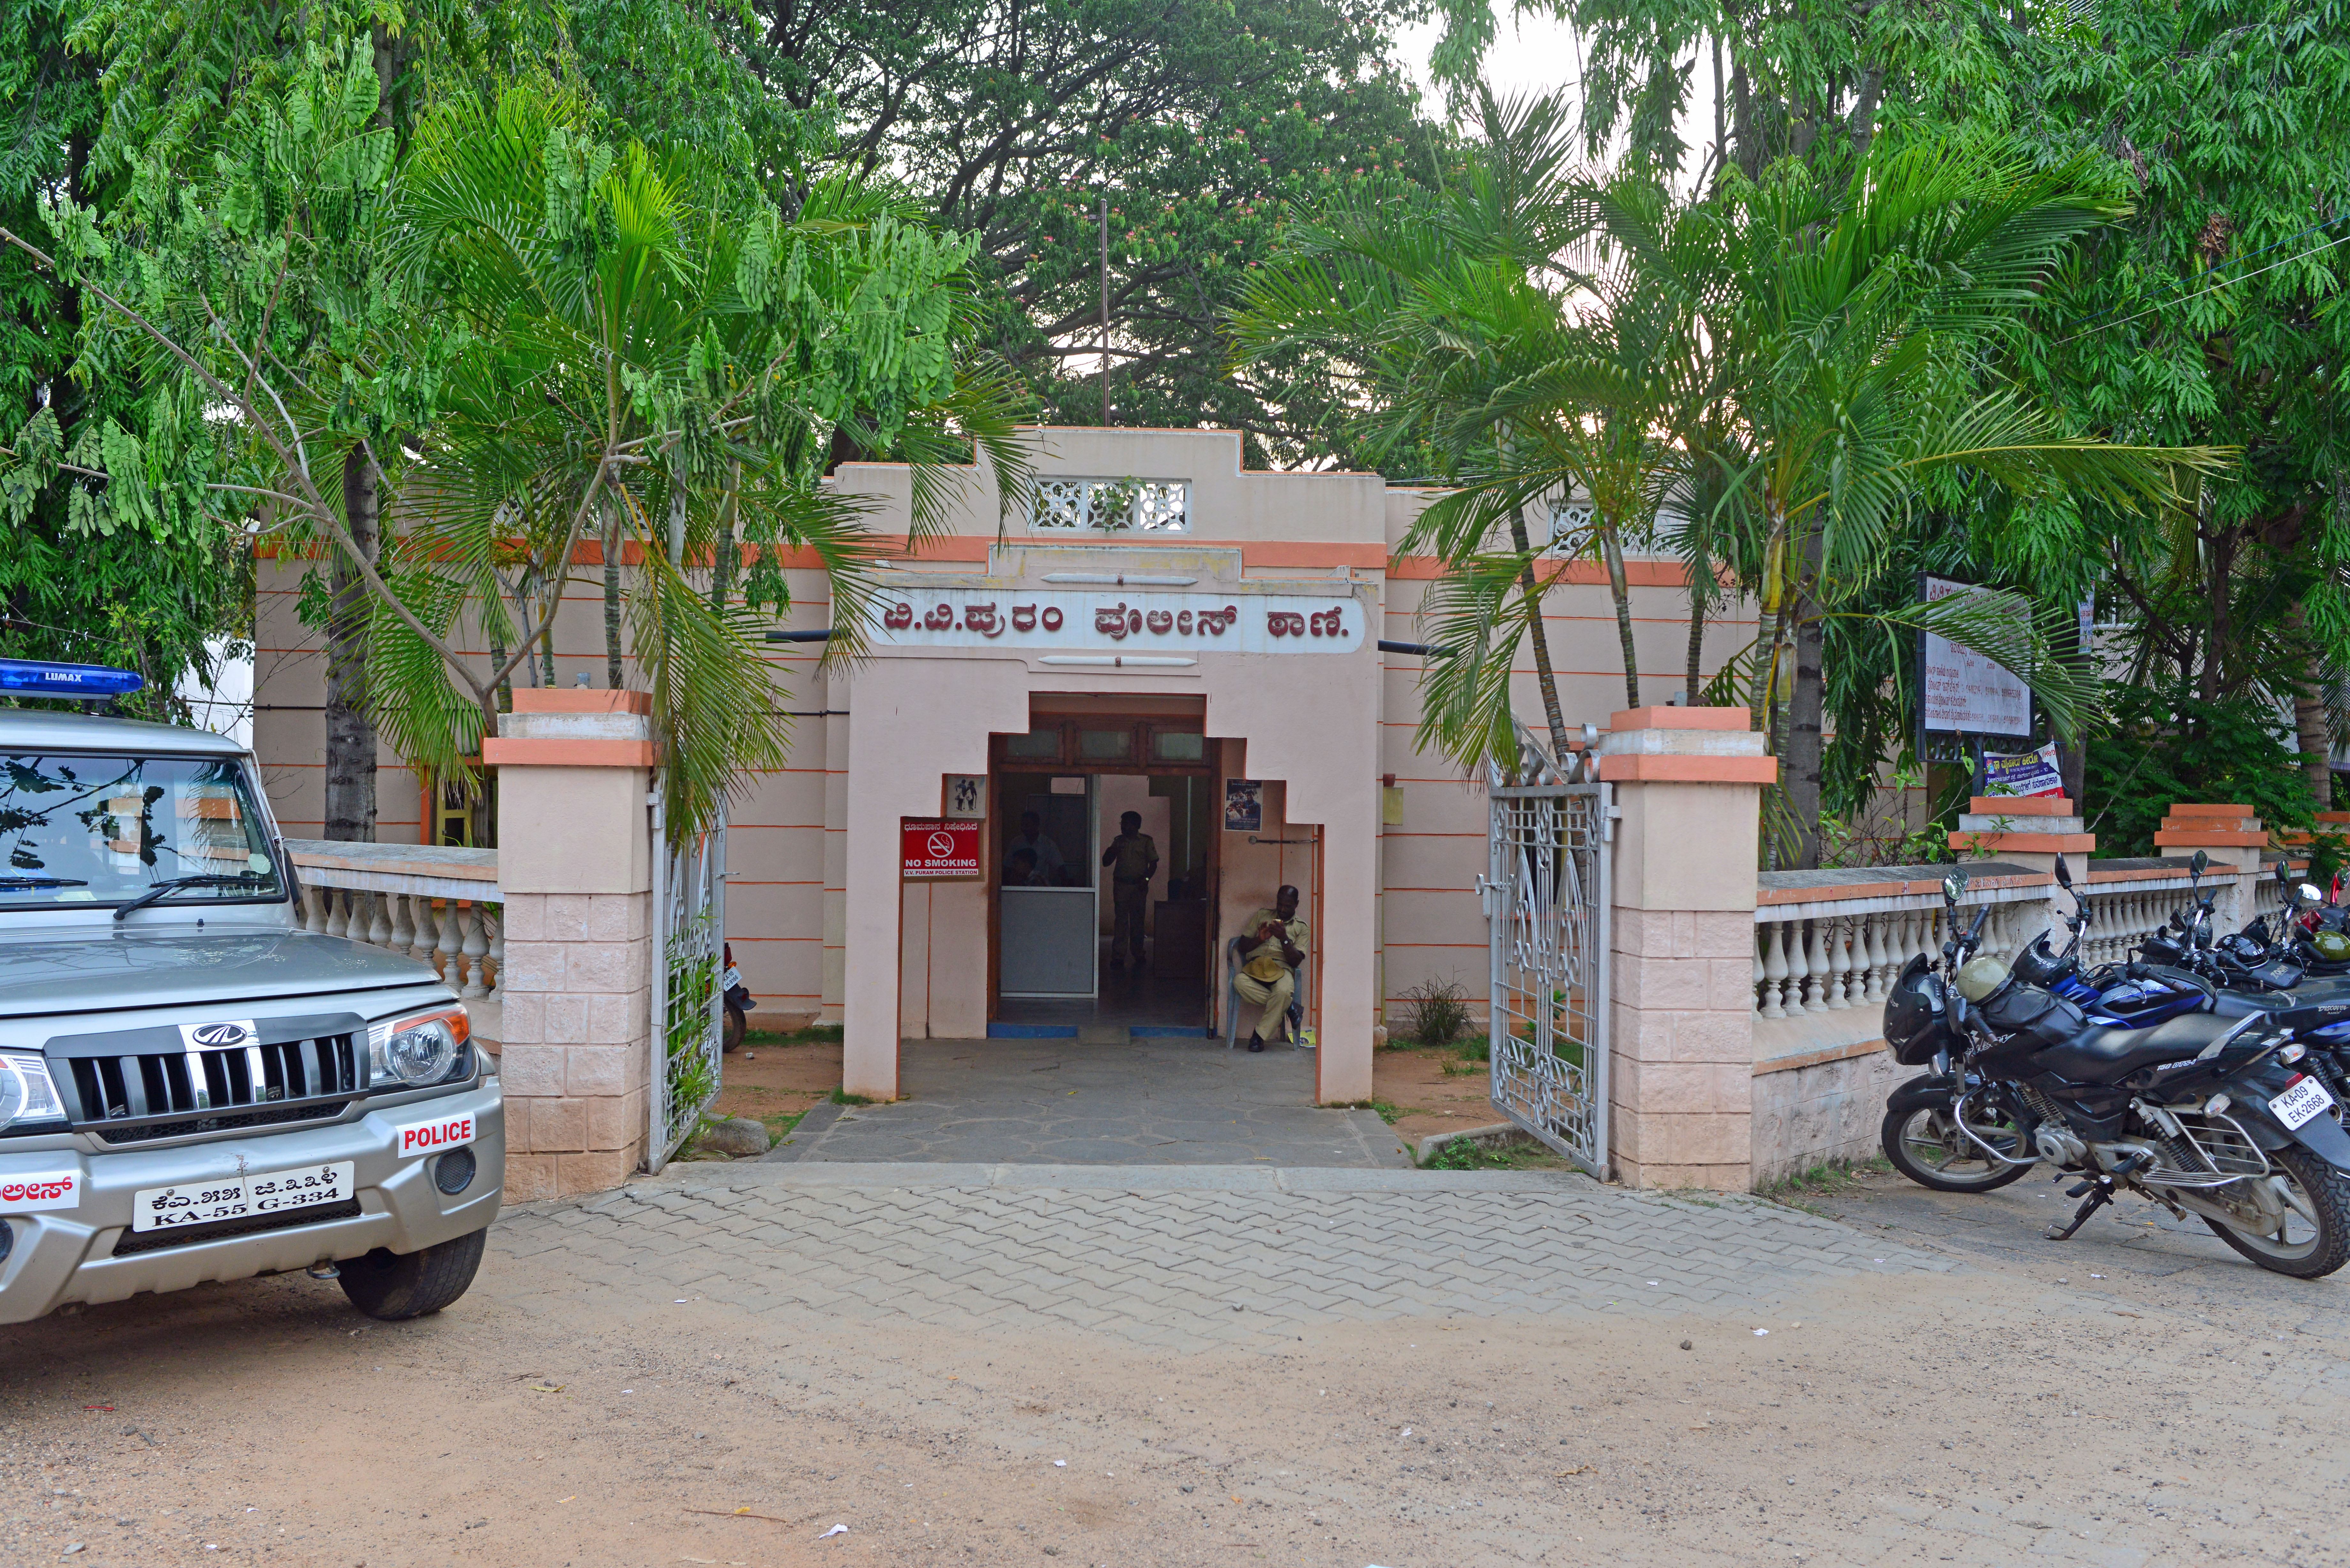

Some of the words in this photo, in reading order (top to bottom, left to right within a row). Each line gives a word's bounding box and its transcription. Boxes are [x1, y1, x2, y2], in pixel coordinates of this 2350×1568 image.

[881, 597, 1065, 639] ಬಿ.ವಿ.ಪುರಂ
[1091, 596, 1241, 642] ಪೊಲೀಸ್
[1265, 603, 1351, 641] ಠಾಣೆ
[44, 669, 83, 685] LUMAX
[1963, 682, 1983, 696] 2418314.
[1984, 684, 1999, 697] 2418414
[1999, 755, 2023, 775] ಮ್ಯನೂಡ
[2021, 751, 2040, 767] ಹೇರೊ
[2029, 772, 2059, 792] ಸುವಣಾವಕಾಶ
[903, 821, 942, 833] ಧೂಮಪಾನ
[943, 820, 979, 831] ನಿಷೇಧಿಸಿದ
[903, 856, 924, 868] NO
[904, 869, 935, 877] V.V.PURAM
[934, 868, 955, 876] POLICE
[924, 858, 977, 868] SMOKING
[953, 867, 978, 875] STATION
[402, 1117, 473, 1151] POLICE
[1, 1172, 74, 1204] ಲೀಸ್
[147, 1183, 244, 1211] ಕೆಎ.೫೫
[254, 1169, 338, 1199] ಜಿ.೩೩೪
[254, 1184, 340, 1214] G-334
[149, 1201, 248, 1228] KA-55